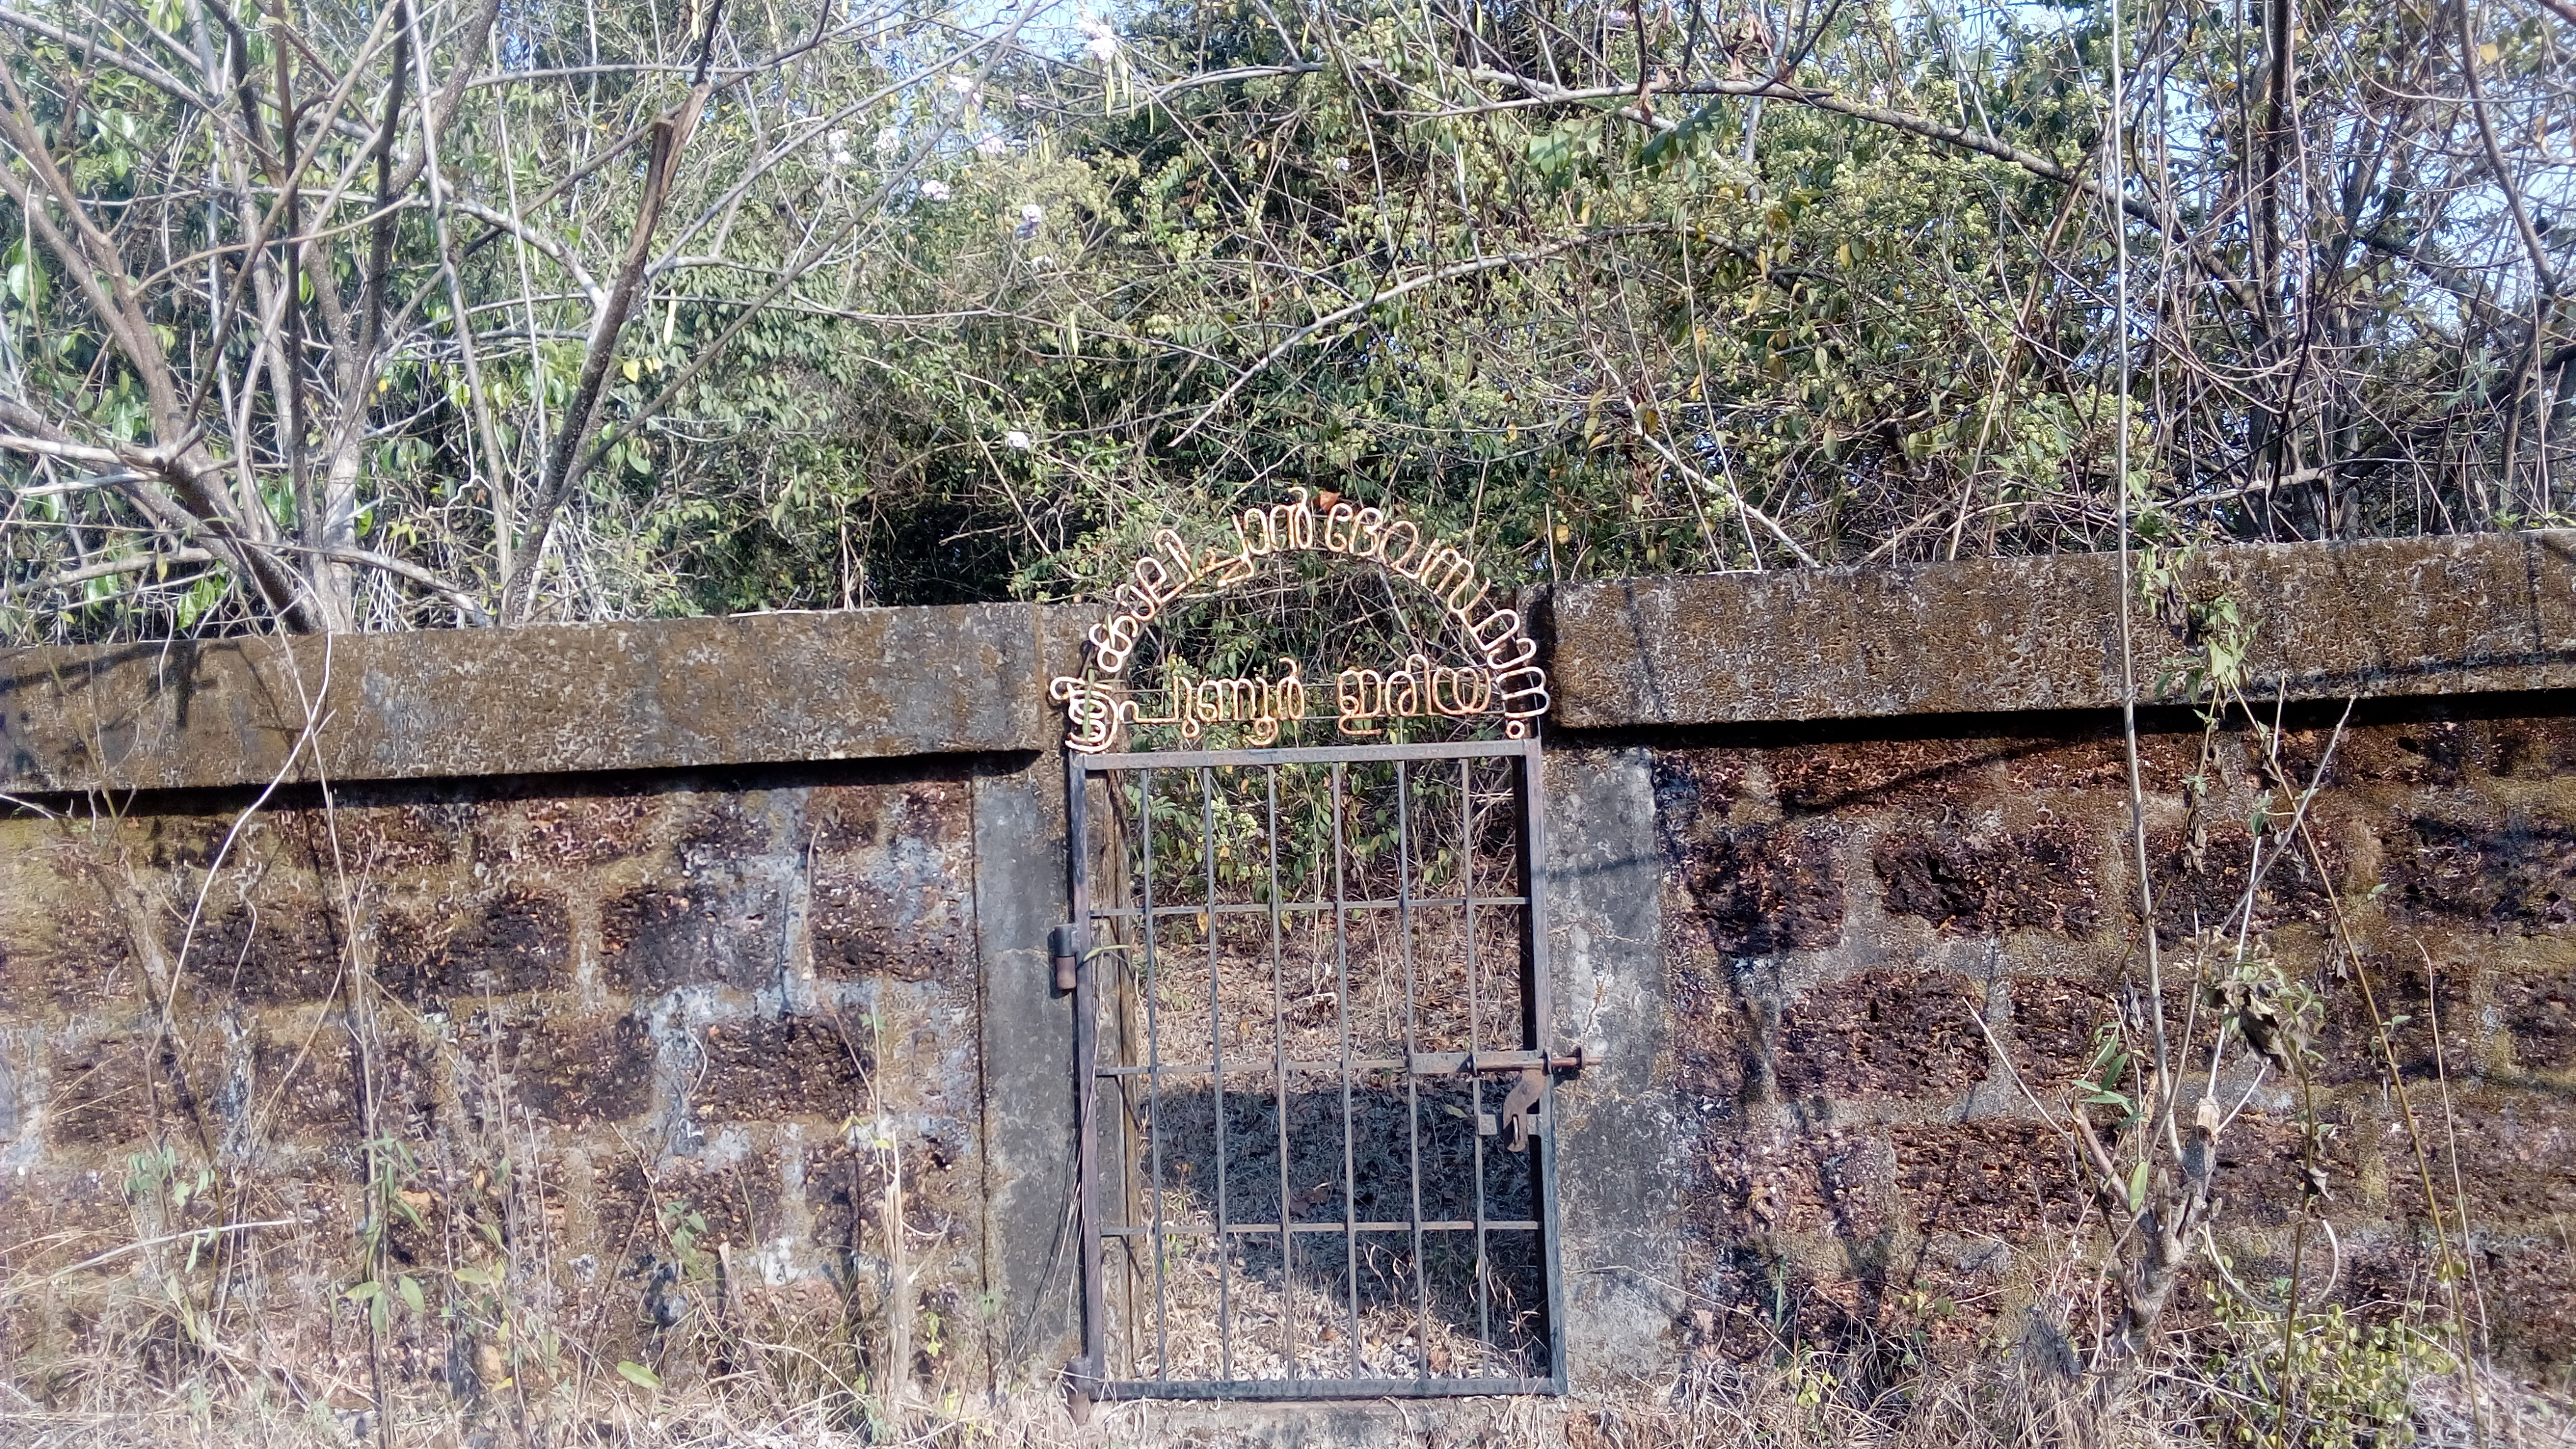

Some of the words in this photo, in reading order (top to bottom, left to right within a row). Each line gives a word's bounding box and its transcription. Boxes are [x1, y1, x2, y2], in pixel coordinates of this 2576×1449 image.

[1046, 652, 1313, 757] ശ്രി പുണൂർ
[1082, 482, 1316, 679] കാലിച്ചാൻ
[1335, 647, 1494, 739] ഇരിയ
[1318, 497, 1558, 744] ദേവസ്ഥാനം